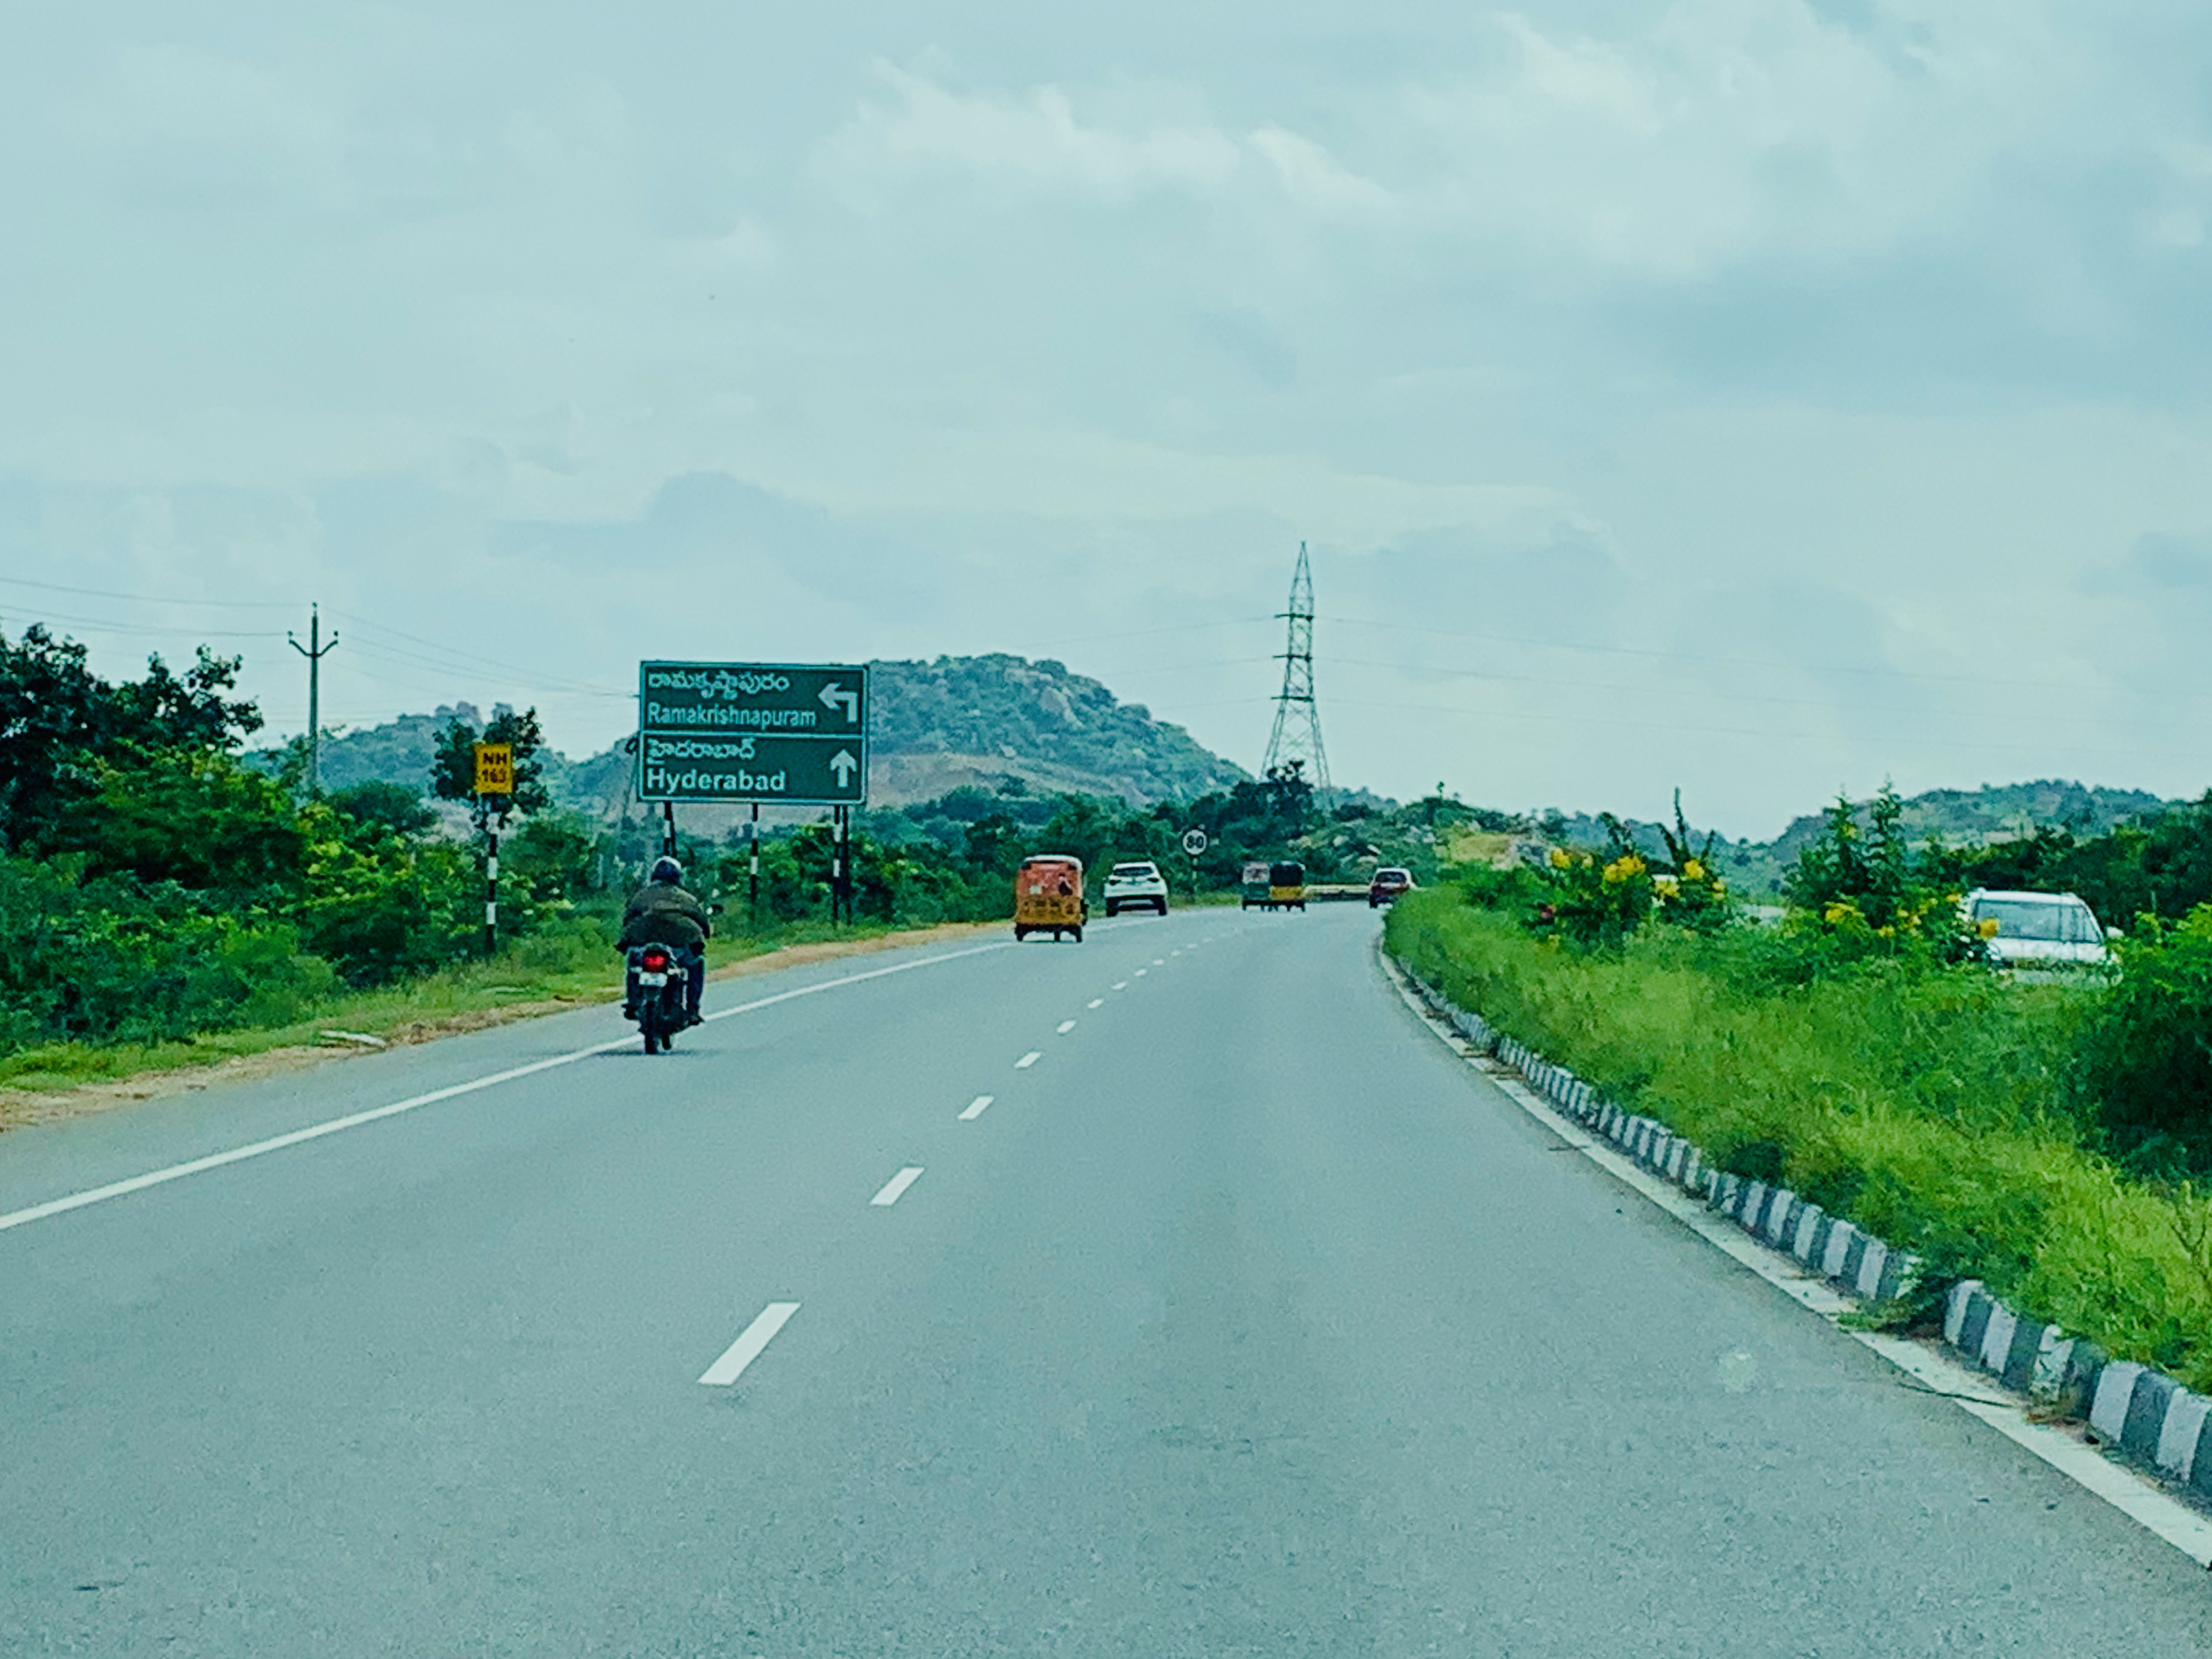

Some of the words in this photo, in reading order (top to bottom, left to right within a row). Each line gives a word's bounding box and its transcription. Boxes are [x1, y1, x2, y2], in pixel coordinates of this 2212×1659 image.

[646, 667, 794, 705] రామకృష్ణాపురం
[644, 699, 819, 733] Ramakrishnapuram
[641, 735, 762, 768] హైదరాబాద్
[644, 761, 789, 799] Hyderabad